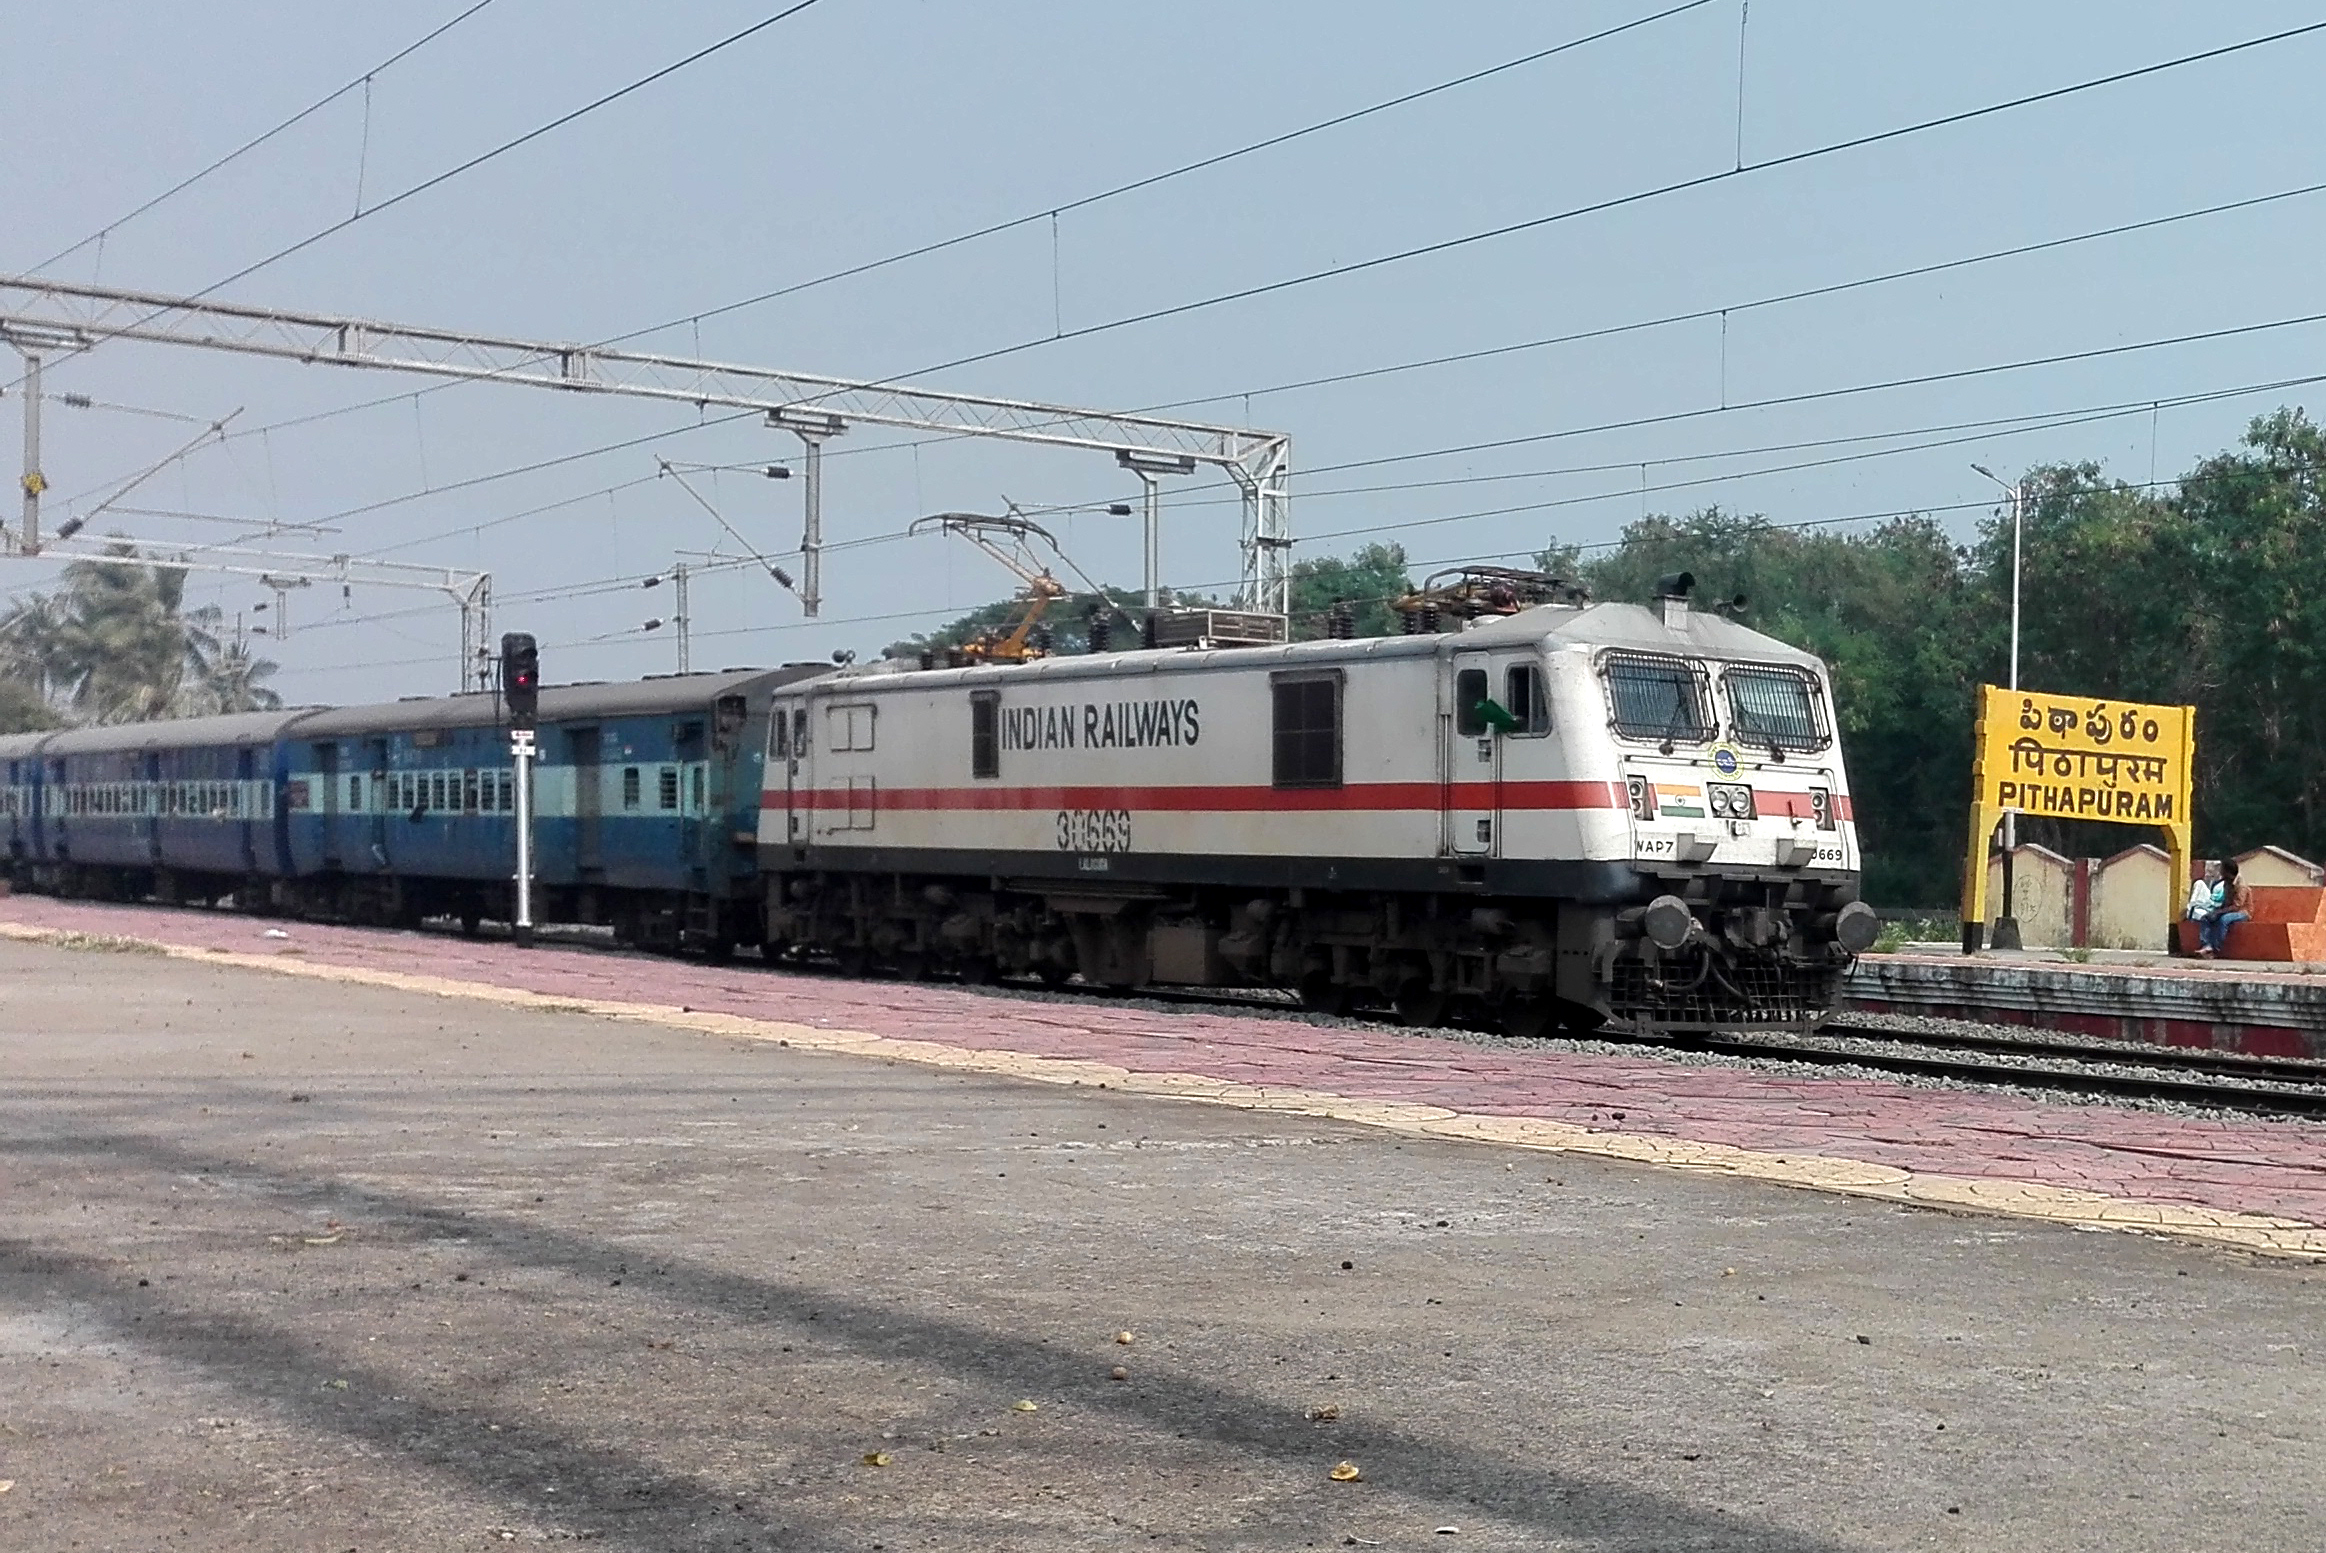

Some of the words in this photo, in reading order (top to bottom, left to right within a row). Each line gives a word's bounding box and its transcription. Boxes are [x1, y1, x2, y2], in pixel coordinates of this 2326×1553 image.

[993, 692, 1082, 766] INDIAN
[1080, 692, 1205, 753] RAILWAYS
[2016, 695, 2166, 747] పిఠాపురం
[2007, 729, 2167, 793] पिठापुरम
[1994, 777, 2177, 823] PITHAPURAM